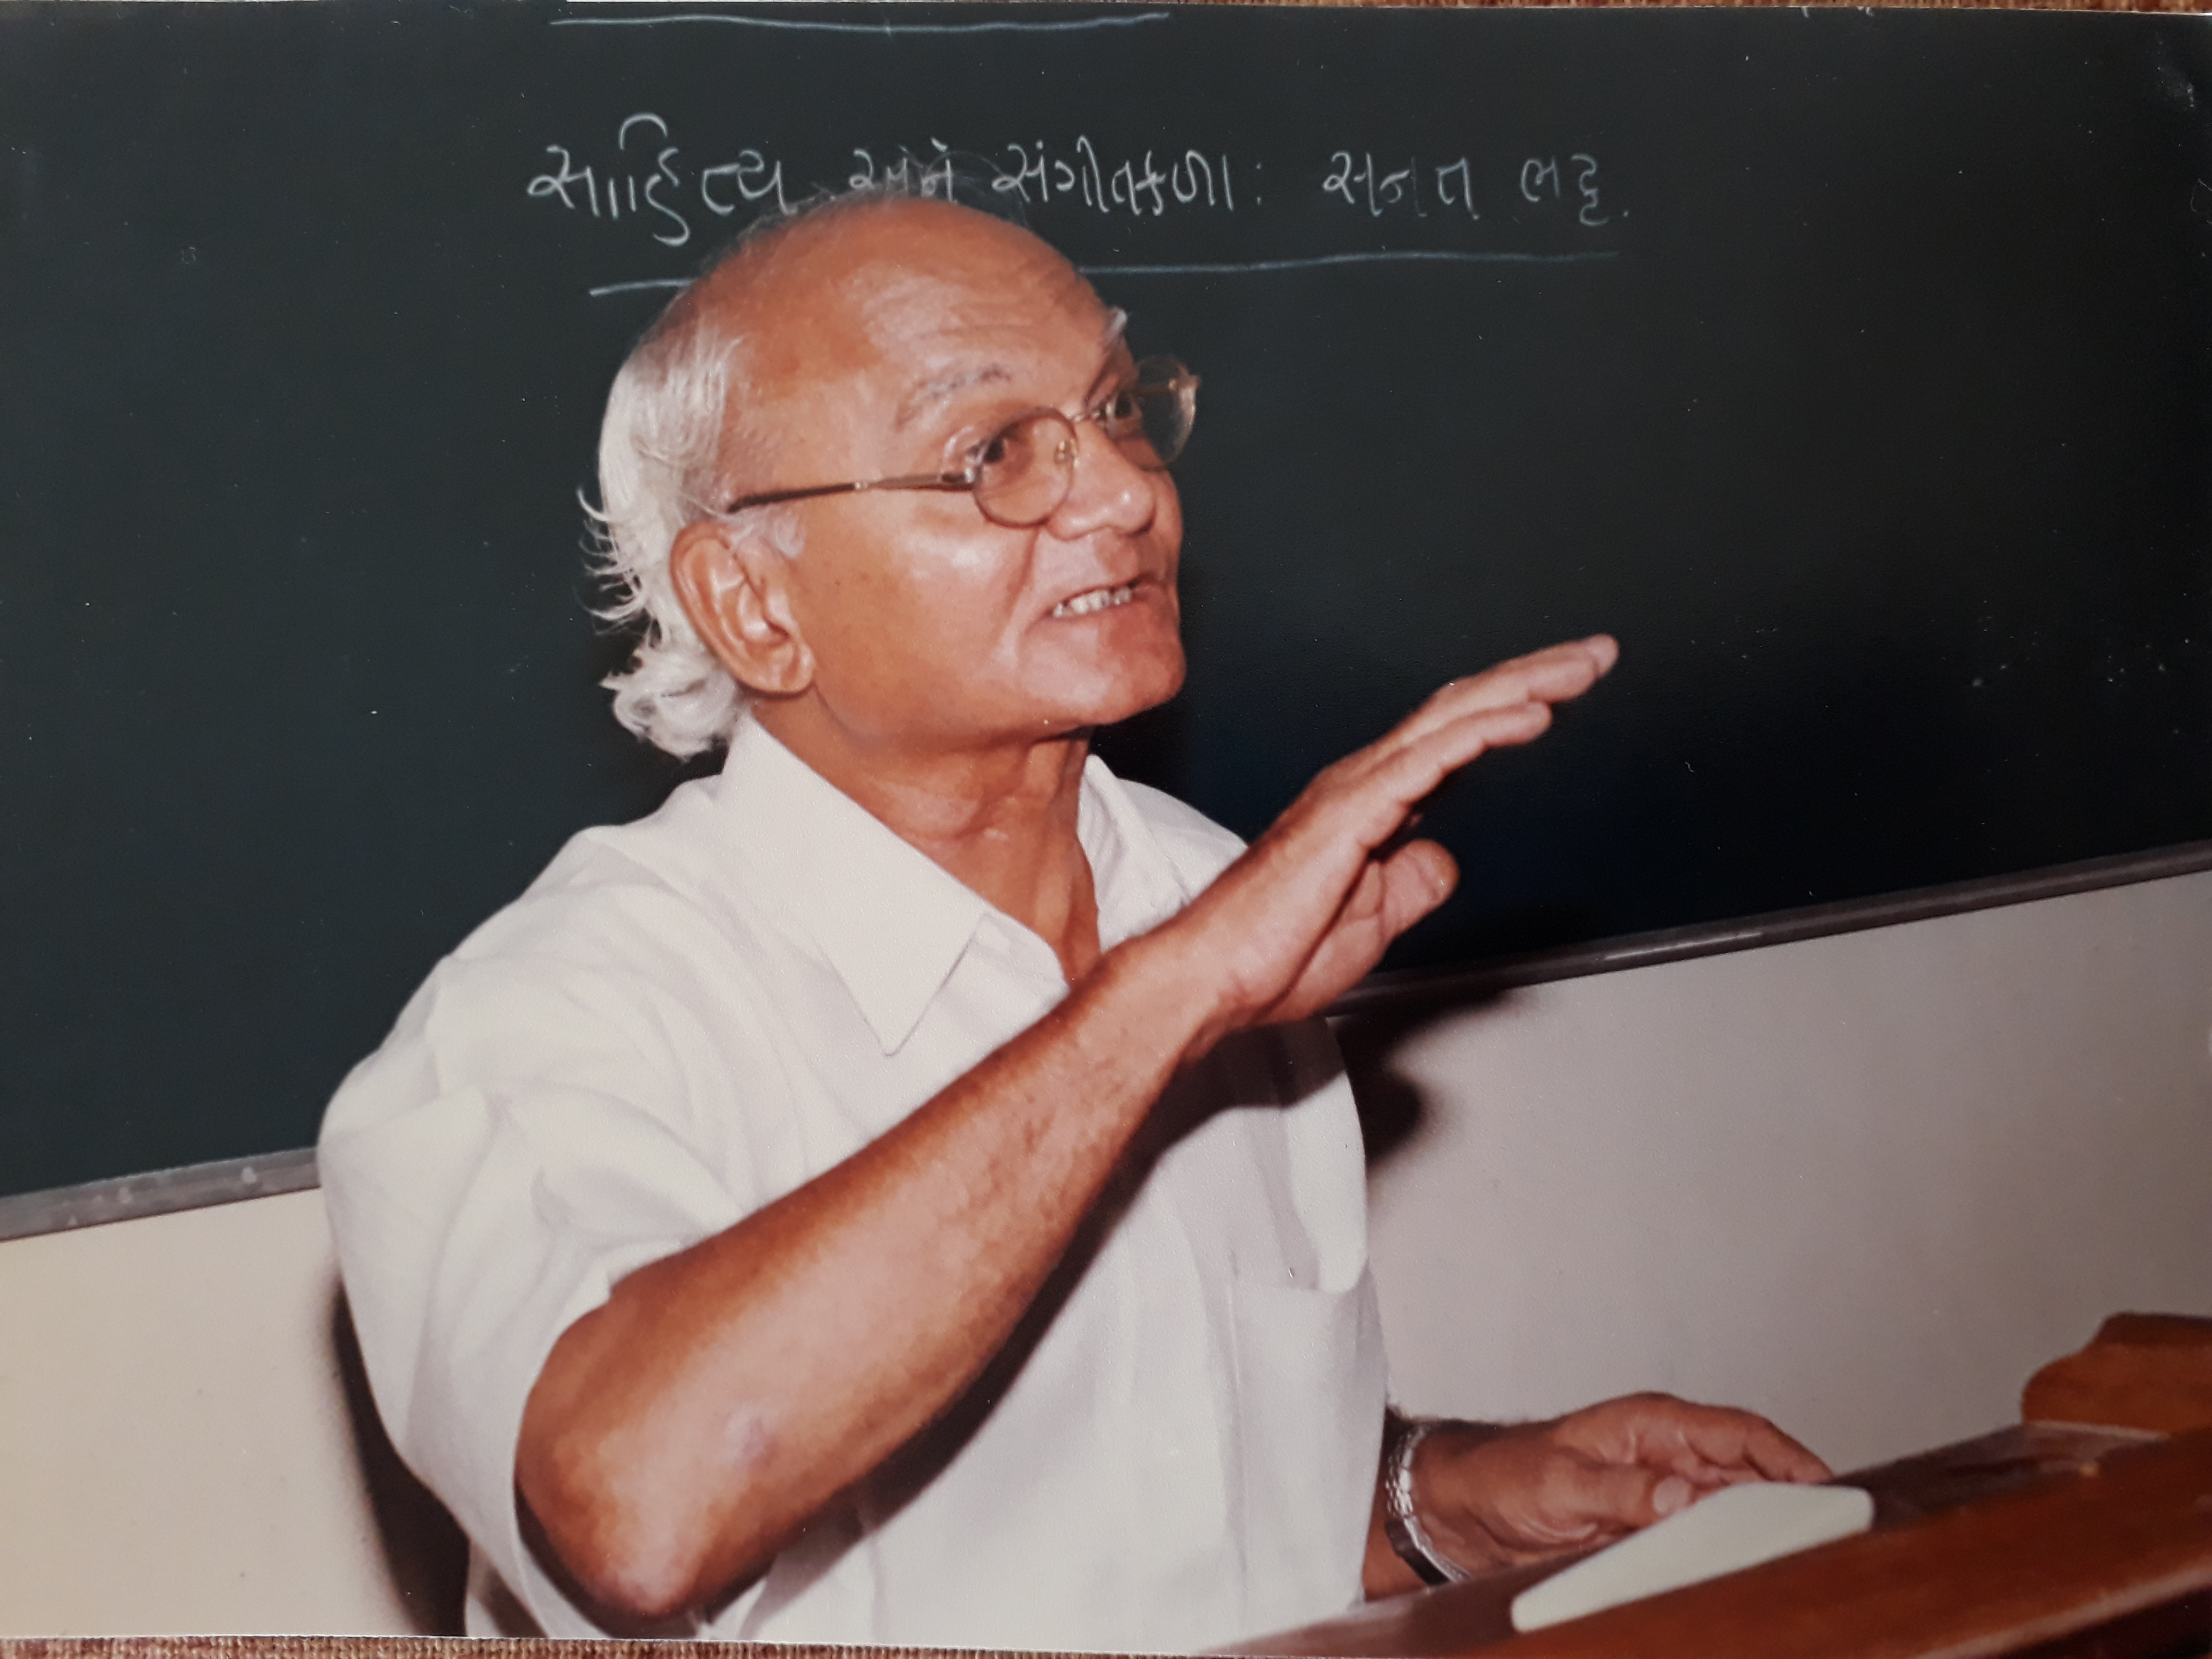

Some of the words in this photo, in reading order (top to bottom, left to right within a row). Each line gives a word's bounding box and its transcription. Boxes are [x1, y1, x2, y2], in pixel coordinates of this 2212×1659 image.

[515, 104, 809, 257] સાહિત્ય
[823, 136, 966, 208] અનૅ
[984, 123, 1282, 234] સંગીતકળા
[1312, 144, 1498, 236] સનત્ત
[1512, 138, 1617, 232] ભટ્ટ